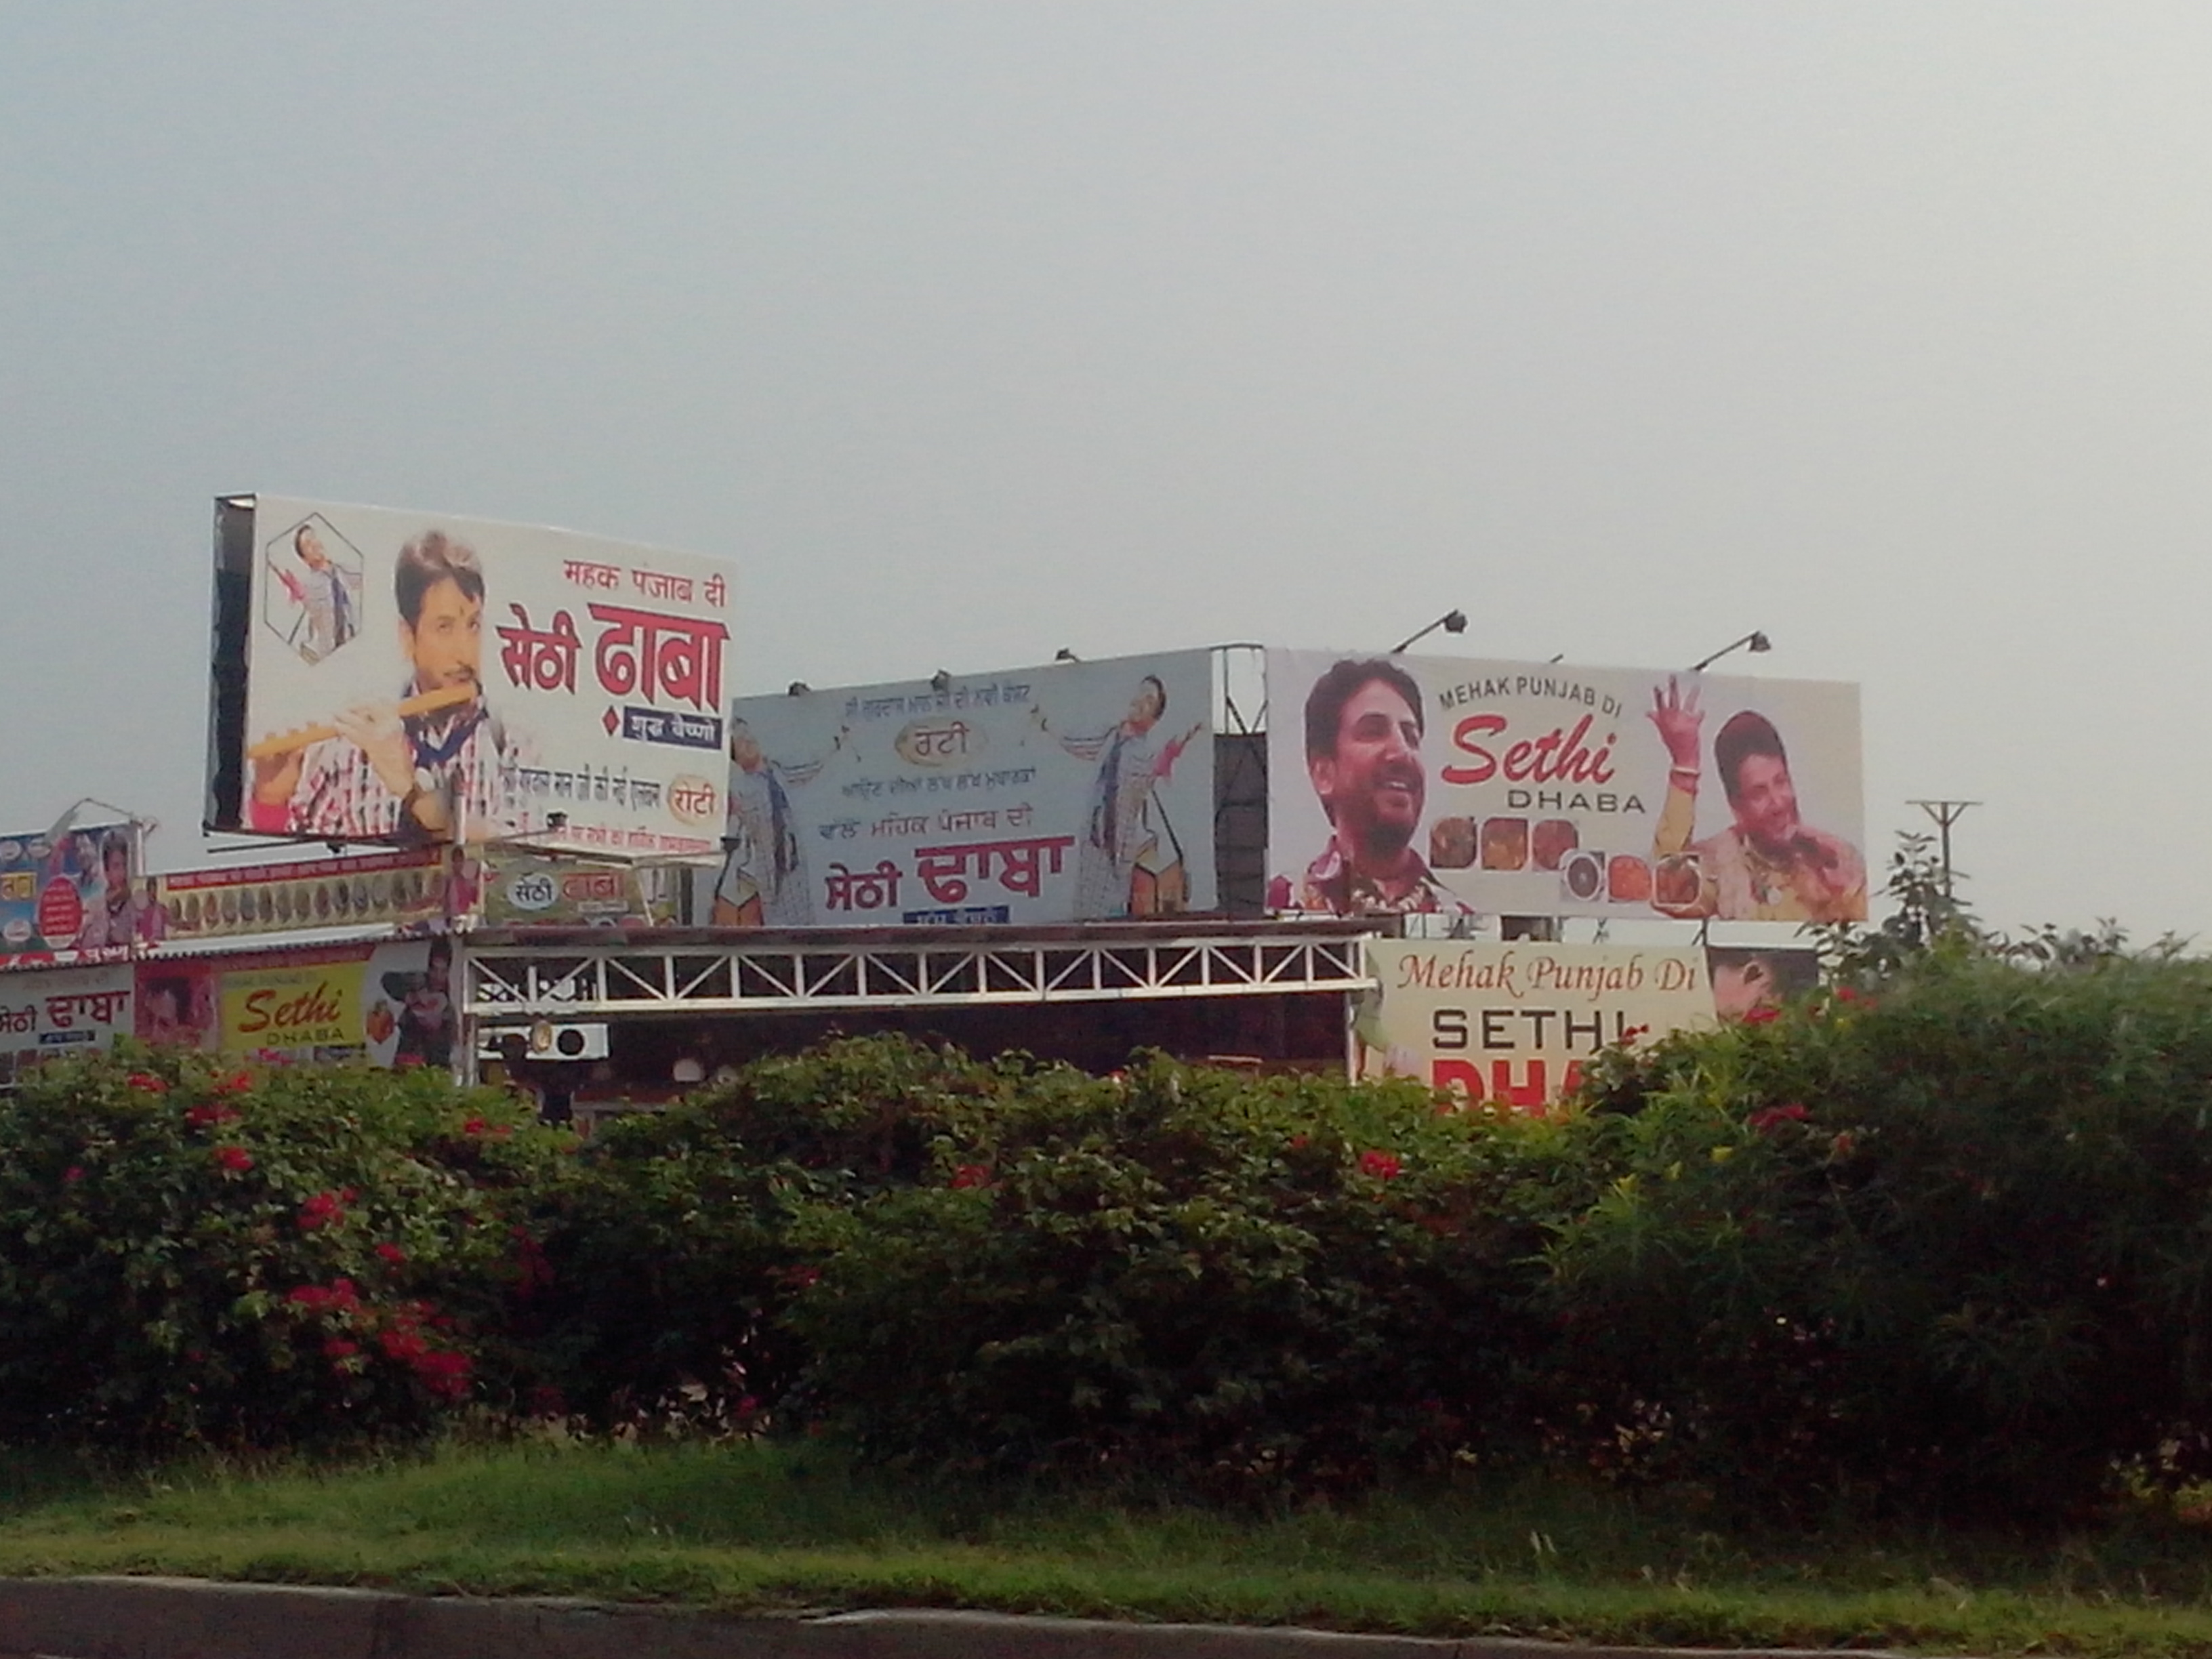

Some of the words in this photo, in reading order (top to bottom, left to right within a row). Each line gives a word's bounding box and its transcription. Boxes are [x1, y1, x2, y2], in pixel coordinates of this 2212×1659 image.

[558, 556, 628, 594] महक
[627, 558, 700, 606] पंजाब
[699, 567, 729, 611] ਵੀ
[491, 594, 588, 705] सेठी
[581, 596, 737, 718] ढाबा
[1431, 670, 1513, 719] MEHAK
[1513, 670, 1602, 711] PUNJAB
[1595, 689, 1627, 723] DI
[1432, 706, 1635, 796] Sethi
[669, 773, 722, 824] रोटी
[1502, 785, 1652, 816] DHABA
[506, 872, 557, 908] सेठी
[817, 853, 907, 916] ਸੇਠੀ
[907, 829, 1082, 905] ਢਾਬਾ
[1387, 942, 1537, 1004] Mehak
[1520, 947, 1652, 1004] Punjab
[1646, 947, 1704, 997] Di
[41, 985, 134, 1031] ਢਾਬਾ
[230, 977, 348, 1038] Sethi
[1423, 1000, 1634, 1053] SETHI